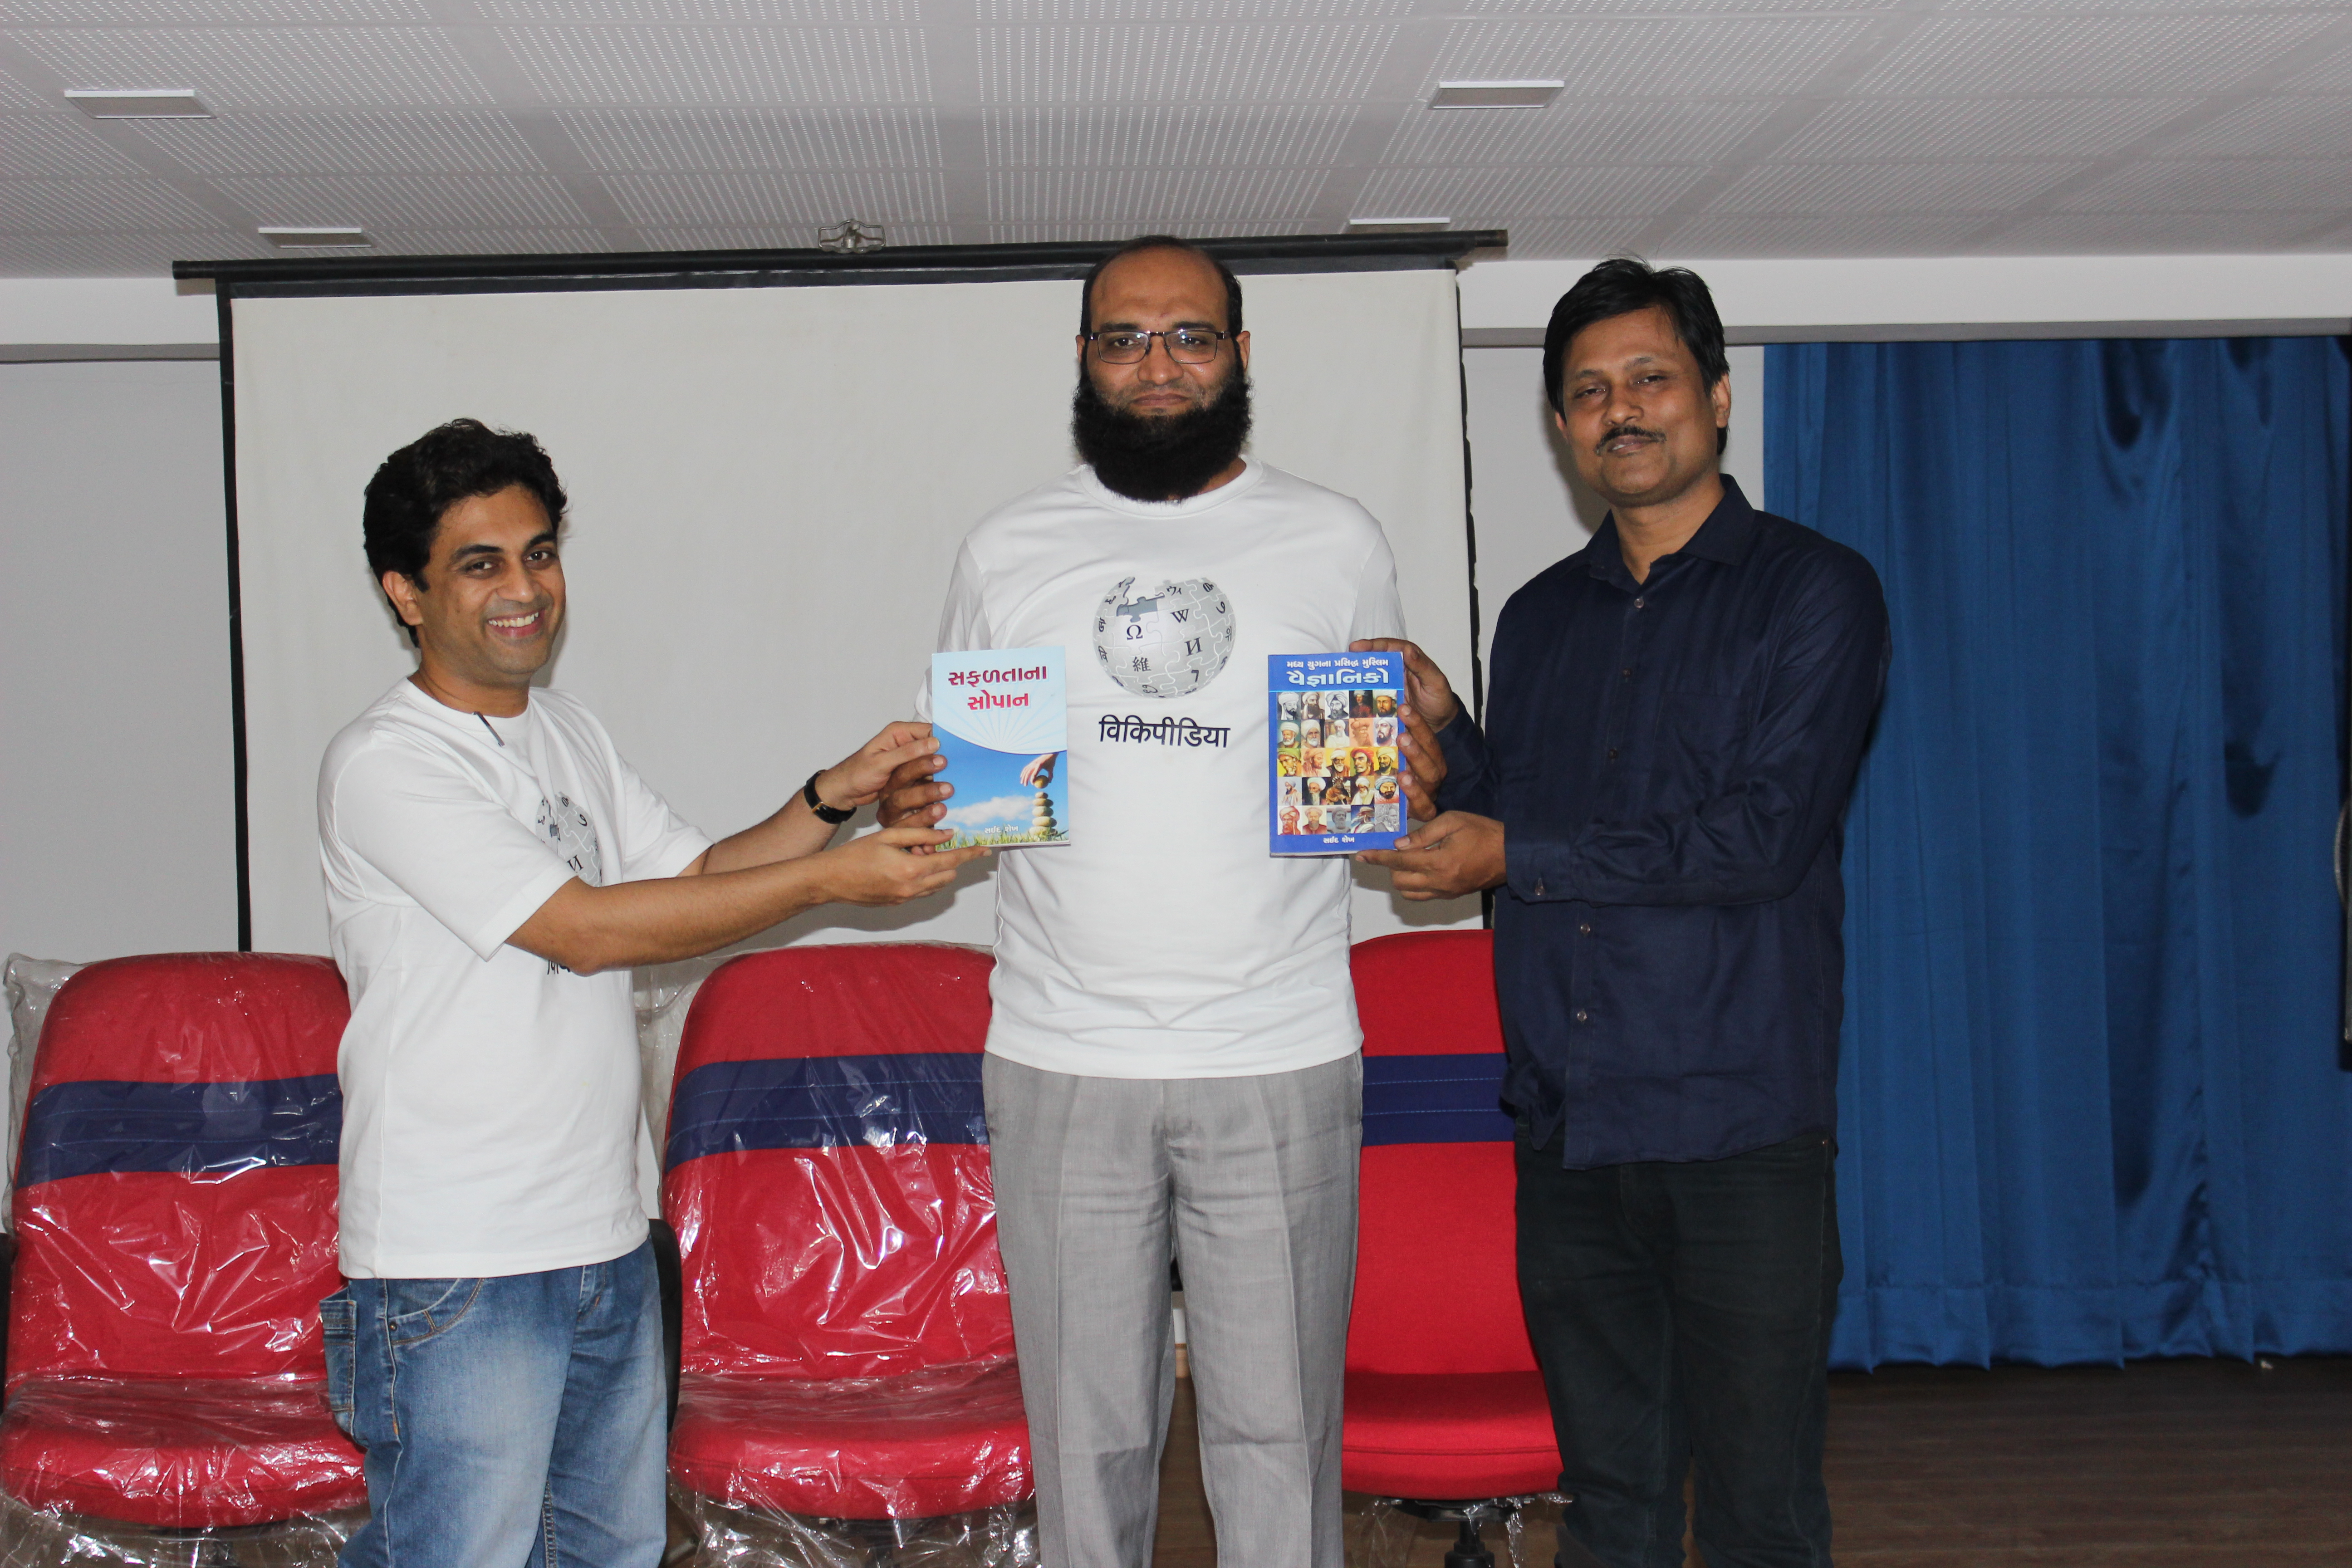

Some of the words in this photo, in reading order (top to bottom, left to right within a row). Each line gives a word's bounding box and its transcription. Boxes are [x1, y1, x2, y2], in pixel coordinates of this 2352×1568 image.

[1168, 605, 1194, 627] W
[1095, 644, 1112, 664] वि
[1284, 660, 1306, 668] મધ્ય
[1304, 658, 1333, 671] યુગના
[1331, 656, 1360, 668] પ્રસિદ્ધ
[1360, 655, 1391, 670] મુસ્લિમ
[943, 661, 1052, 694] સફળતાના
[1282, 667, 1392, 690] વૈજ્ઞાનિકો
[964, 690, 1031, 714] સોપાન
[1098, 710, 1235, 750] विकिपीडिया